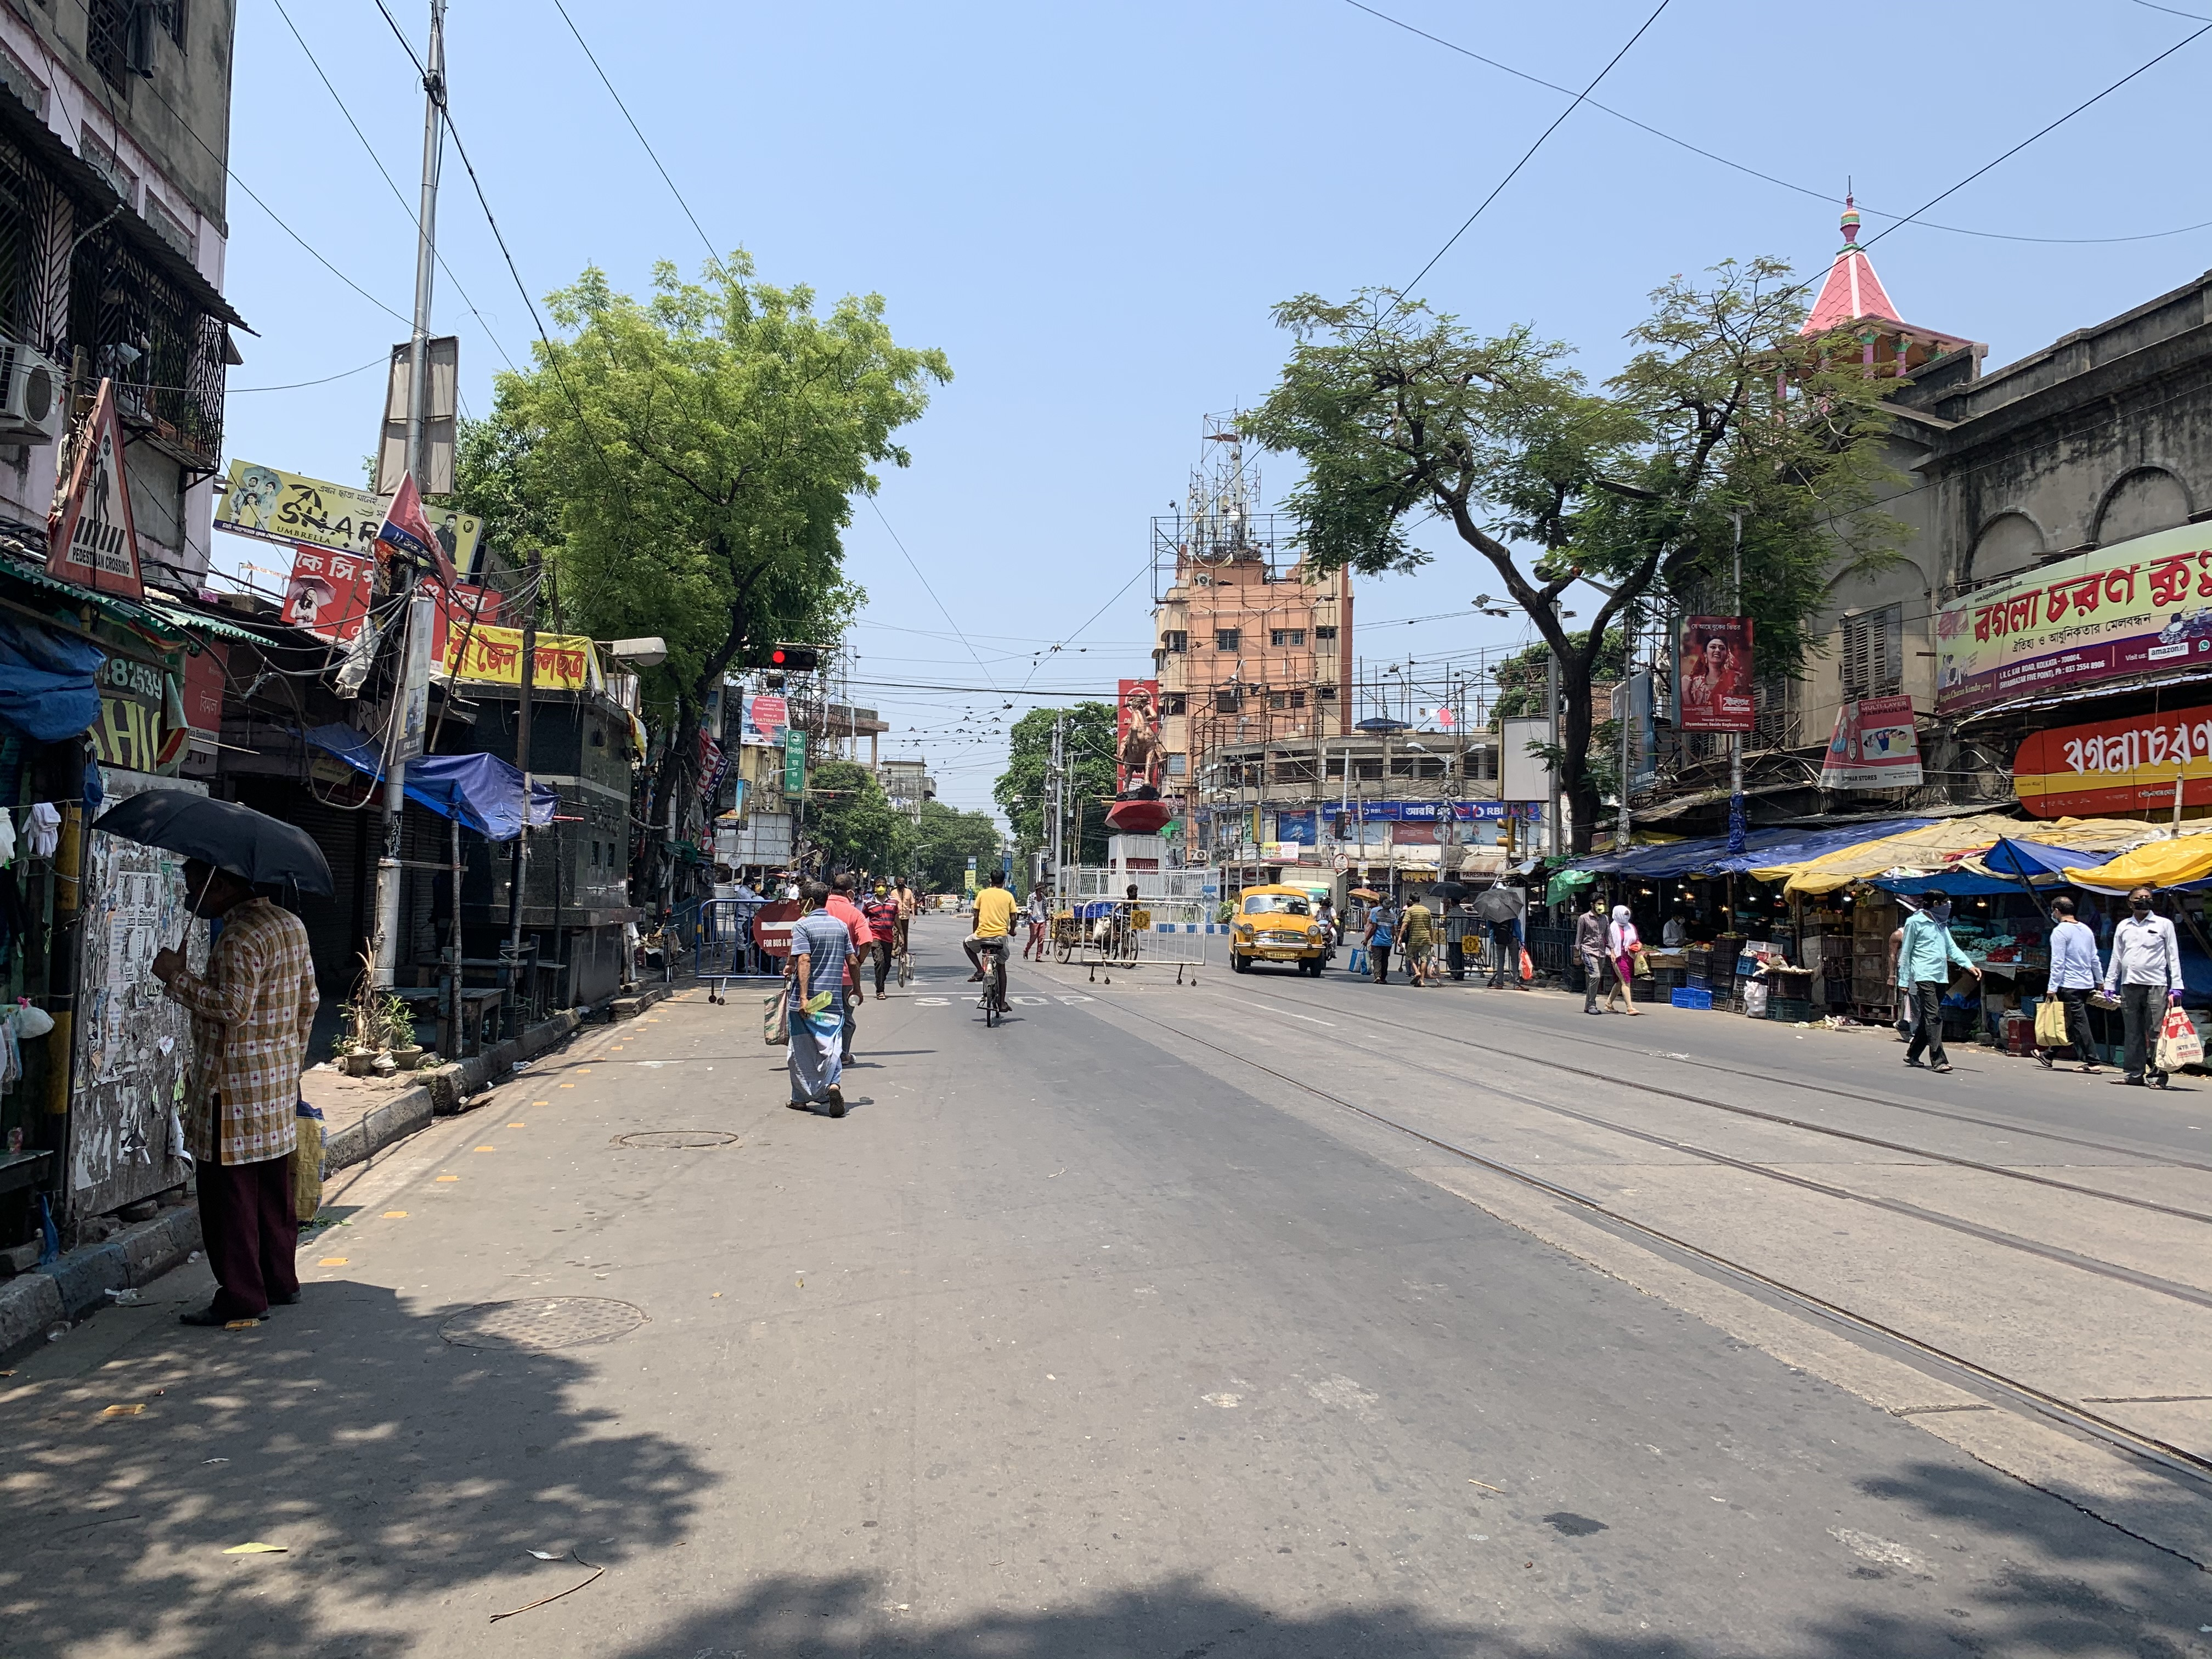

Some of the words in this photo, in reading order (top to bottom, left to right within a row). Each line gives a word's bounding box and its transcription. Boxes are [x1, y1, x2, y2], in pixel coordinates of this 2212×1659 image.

[317, 482, 338, 495] এখন
[335, 486, 357, 501] ছাতা
[352, 488, 383, 509] মানেই
[275, 523, 333, 548] UMBRELLA
[292, 549, 359, 585] কে. সি.
[2039, 562, 2142, 627] চরণ
[1969, 585, 2042, 647] বগলা
[2102, 611, 2154, 633] মেলবন্ধন
[445, 620, 521, 681] শ্রী জৈন
[524, 640, 589, 687] জলছত্র
[1996, 664, 2023, 681] LR.G.KAR
[1996, 673, 2029, 693] SHYAMBAZAR
[2007, 635, 2037, 656] ঐতিহ্য
[2018, 660, 2037, 675] ROAD,
[2024, 670, 2039, 684] FIVE
[2034, 634, 2049, 648] ও
[2033, 667, 2055, 680] POINT).
[2034, 656, 2059, 670] KOLKATA
[2059, 653, 2081, 664] 700004.
[2045, 620, 2105, 647] আধুনিকতার
[2124, 648, 2141, 663] Visit
[2135, 651, 2149, 661] US:
[2147, 641, 2188, 658] amazon.in
[1859, 698, 1910, 712] MULTI-LAYER
[1860, 703, 1911, 718] TARPAULIN
[2061, 714, 2211, 780] বগলাচরণ
[1855, 770, 1882, 783] STORES
[1404, 800, 1439, 819] আর বি